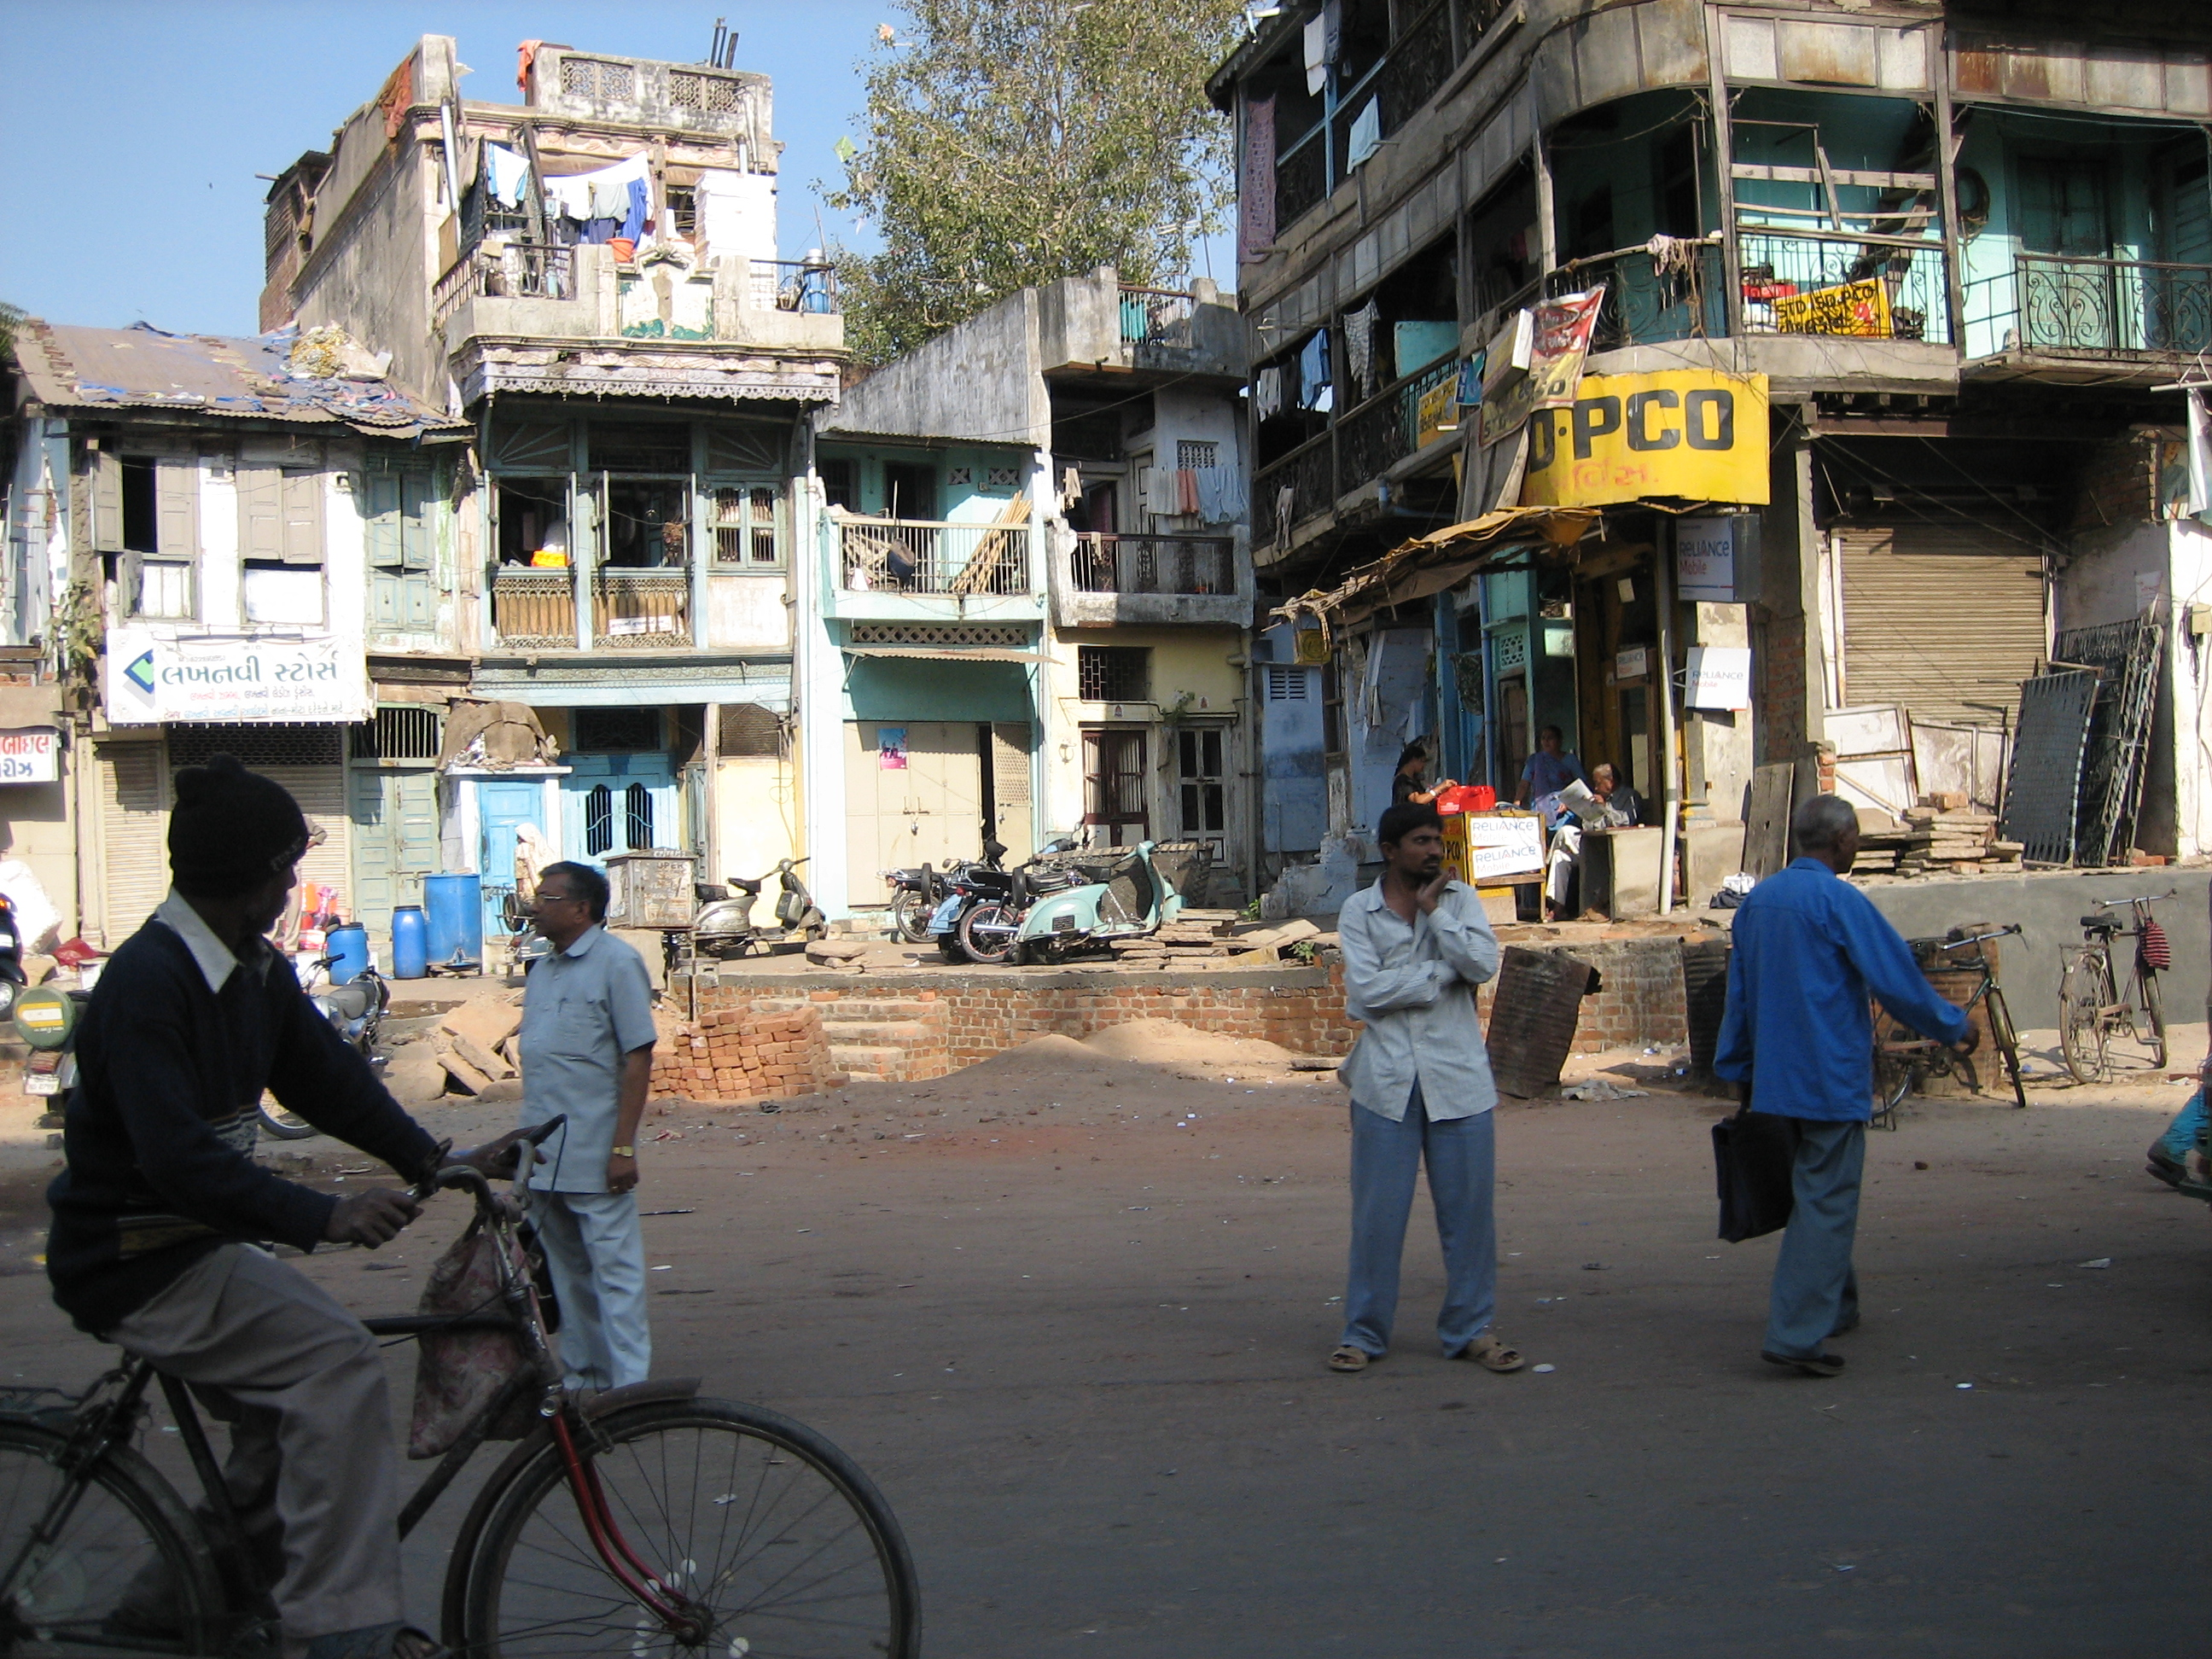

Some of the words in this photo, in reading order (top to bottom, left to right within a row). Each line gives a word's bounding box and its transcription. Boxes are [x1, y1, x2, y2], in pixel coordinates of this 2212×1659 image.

[1516, 386, 1735, 475] D-PCO
[178, 656, 256, 685] ખનવી